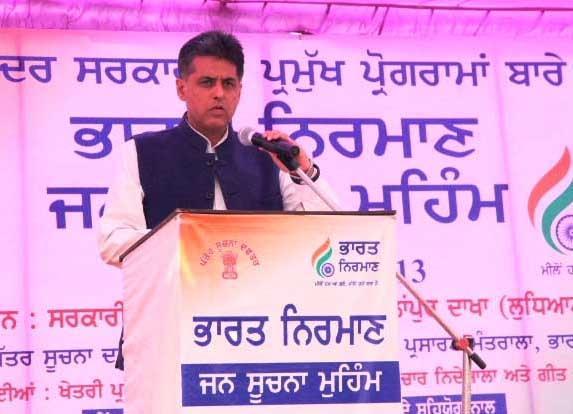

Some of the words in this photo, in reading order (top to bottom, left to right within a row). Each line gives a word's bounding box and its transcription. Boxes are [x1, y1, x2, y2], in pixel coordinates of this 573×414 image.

[0, 52, 62, 89] ਦਰ
[69, 54, 179, 91] ਸਰਕਾ
[250, 46, 349, 99] ਪ੍ਰਮੁੱਖ
[354, 43, 497, 101] ਪ੍ਰੋਗਰਾਮਾ
[501, 47, 570, 95] ਬਾਰੇ
[63, 109, 122, 170] ਭ
[255, 97, 486, 167] ਰਮਾਣ
[39, 174, 95, 239] ਜ
[343, 160, 519, 231] ਮਹਿੰਮ
[335, 237, 383, 259] ਭਾਰਤ
[337, 257, 386, 277] ਨਿਰਮਾਣ
[394, 251, 431, 291] 13
[0, 304, 23, 333] ਨ
[0, 376, 40, 407] ਦੀਆਂ
[35, 345, 97, 375] ਸੂਚਨਾ
[53, 373, 108, 405] ਖੇਤਰੀ
[39, 296, 125, 333] ਸਰਕਾਰੀ
[105, 378, 126, 403] ਪ੍ਰ
[192, 367, 241, 400] ਜਨ
[188, 309, 273, 353] ਭਾਰਤ
[241, 363, 313, 405] ਸੂਚਨਾ
[277, 301, 393, 354] ਨਿਰਮਾਣ
[311, 361, 388, 401] ਮੁਹਿੰਮ
[400, 368, 431, 389] ਚਾਰ
[397, 331, 457, 361] ਪ੍ਰਸਾਰ
[430, 361, 464, 389] ਨਿਦੇ
[443, 292, 495, 323] ਦਾਖਾ
[470, 329, 539, 353] ਮੰਤਰਾਲਾ,
[500, 361, 535, 389] ਅਤੇ
[500, 287, 573, 323] ਲੁਧਿਆ
[533, 359, 569, 386] ਗੀਤ